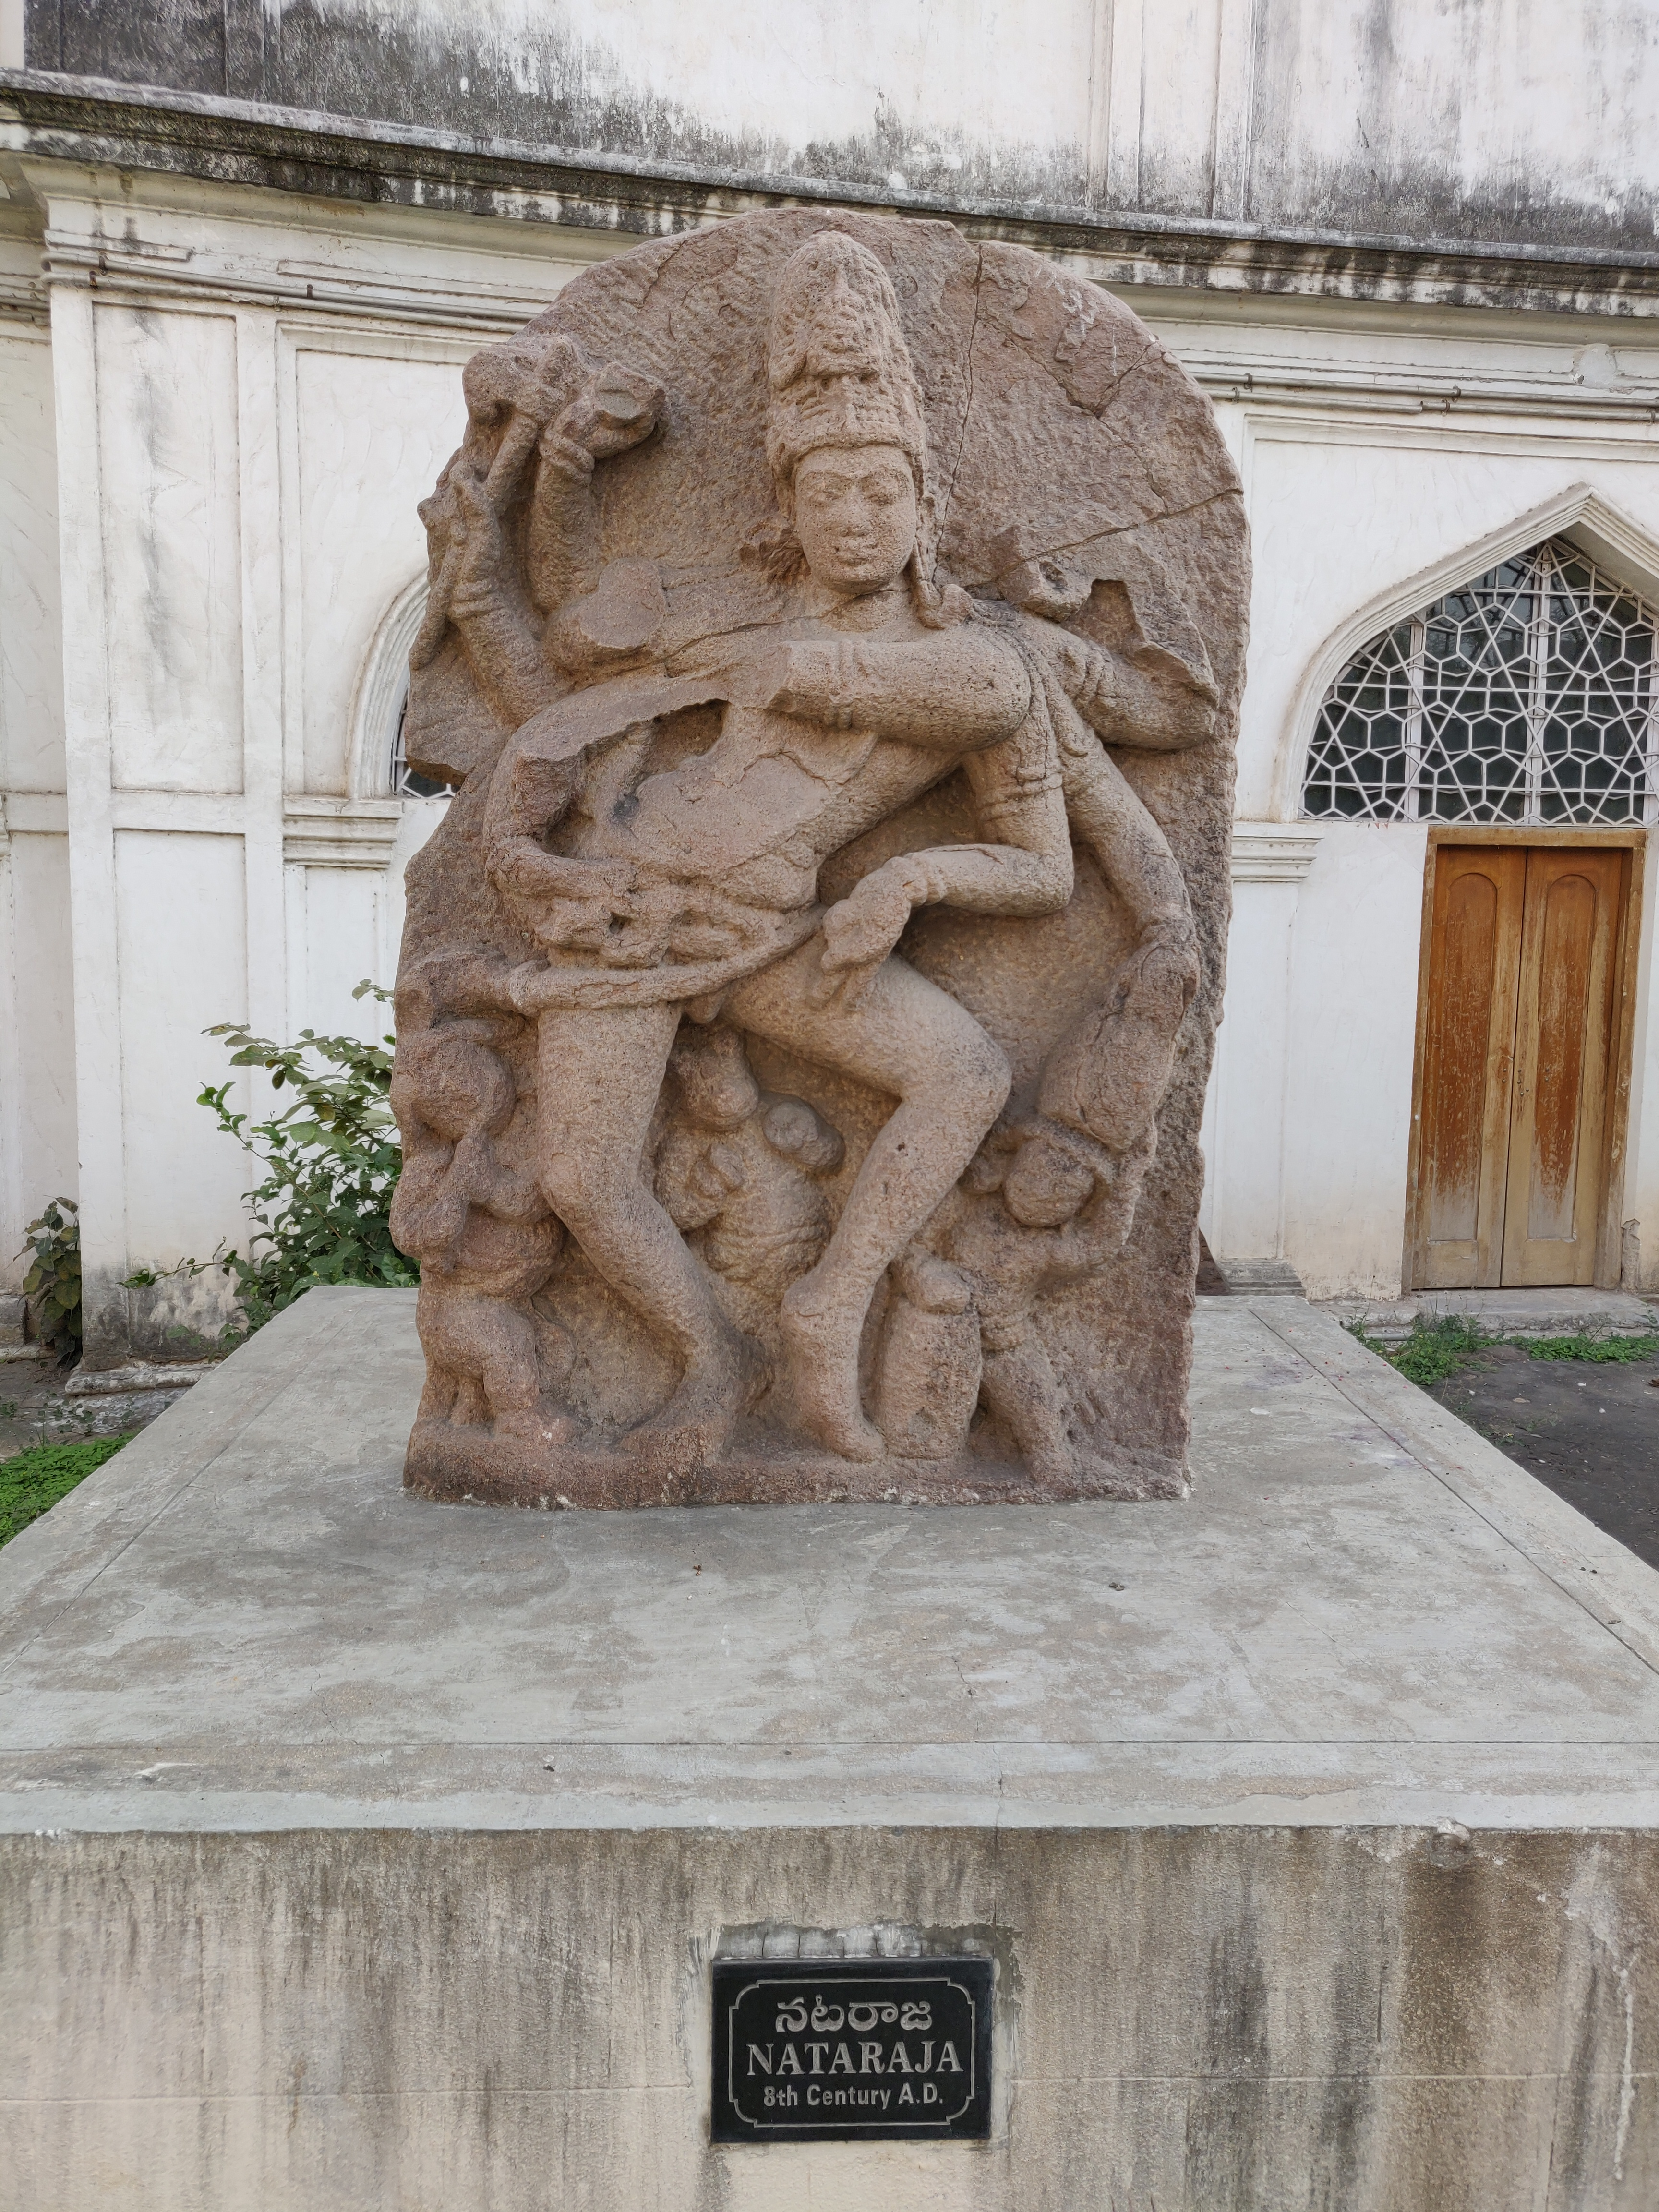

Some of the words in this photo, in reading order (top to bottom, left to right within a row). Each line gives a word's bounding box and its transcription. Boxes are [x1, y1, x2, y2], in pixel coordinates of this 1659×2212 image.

[768, 1992, 941, 2036] నటరాజ
[739, 2034, 965, 2078] NATARAJA
[758, 2077, 800, 2113] 8th
[802, 2076, 892, 2114] Century
[891, 2078, 949, 2110] A.D.